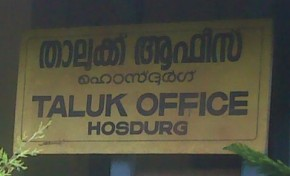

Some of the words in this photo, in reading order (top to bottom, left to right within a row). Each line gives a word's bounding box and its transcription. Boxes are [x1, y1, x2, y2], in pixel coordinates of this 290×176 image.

[37, 30, 129, 72] താലൂക്ക്
[129, 17, 248, 76] ആഫീസ്
[73, 68, 202, 87] ഹൊസ്ദുർഗ
[27, 90, 131, 121] TALUK
[130, 87, 253, 121] OFFICE
[83, 118, 191, 141] HOSDURG